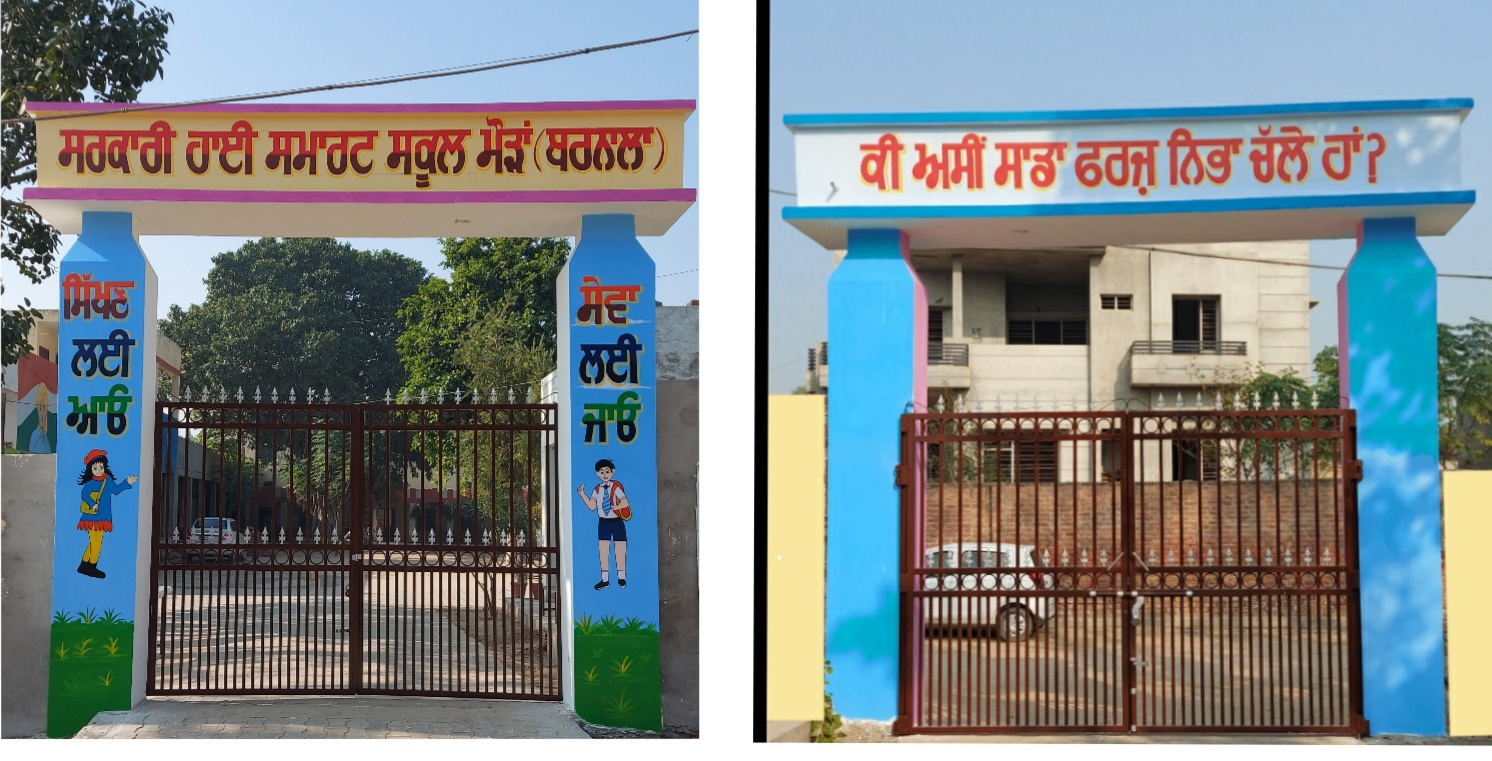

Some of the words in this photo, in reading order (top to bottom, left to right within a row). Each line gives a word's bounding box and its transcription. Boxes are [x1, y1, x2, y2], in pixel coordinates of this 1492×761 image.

[51, 115, 183, 184] ਸਰਕਾਰੀ
[183, 115, 262, 183] ਹਾਈ
[257, 124, 385, 186] ਸਮਾਰਟ
[381, 125, 476, 188] ਸਕੂਲ
[465, 112, 537, 185] ਮੌੜਾਂ
[539, 123, 661, 181] ਥਰਨਲਾ
[854, 129, 909, 200] ਕੀ
[907, 129, 992, 203] ਅਸੀਂ
[988, 136, 1071, 193] ਸਾਡਾ
[1070, 132, 1165, 201] ਫਰਜ਼
[1162, 122, 1247, 193] ਨਿਭਾ
[1243, 116, 1319, 193] ਚੱਲੇ
[1317, 125, 1390, 189] ਹਾਂ?
[56, 267, 140, 327] ਸਿੱਖਣ
[573, 269, 649, 329] ਸੇਵਾ
[66, 327, 143, 385] ਲਈ
[571, 332, 645, 391] ਲਈ
[58, 380, 139, 444] ਆੳ
[577, 386, 651, 451] ਜਾਓ